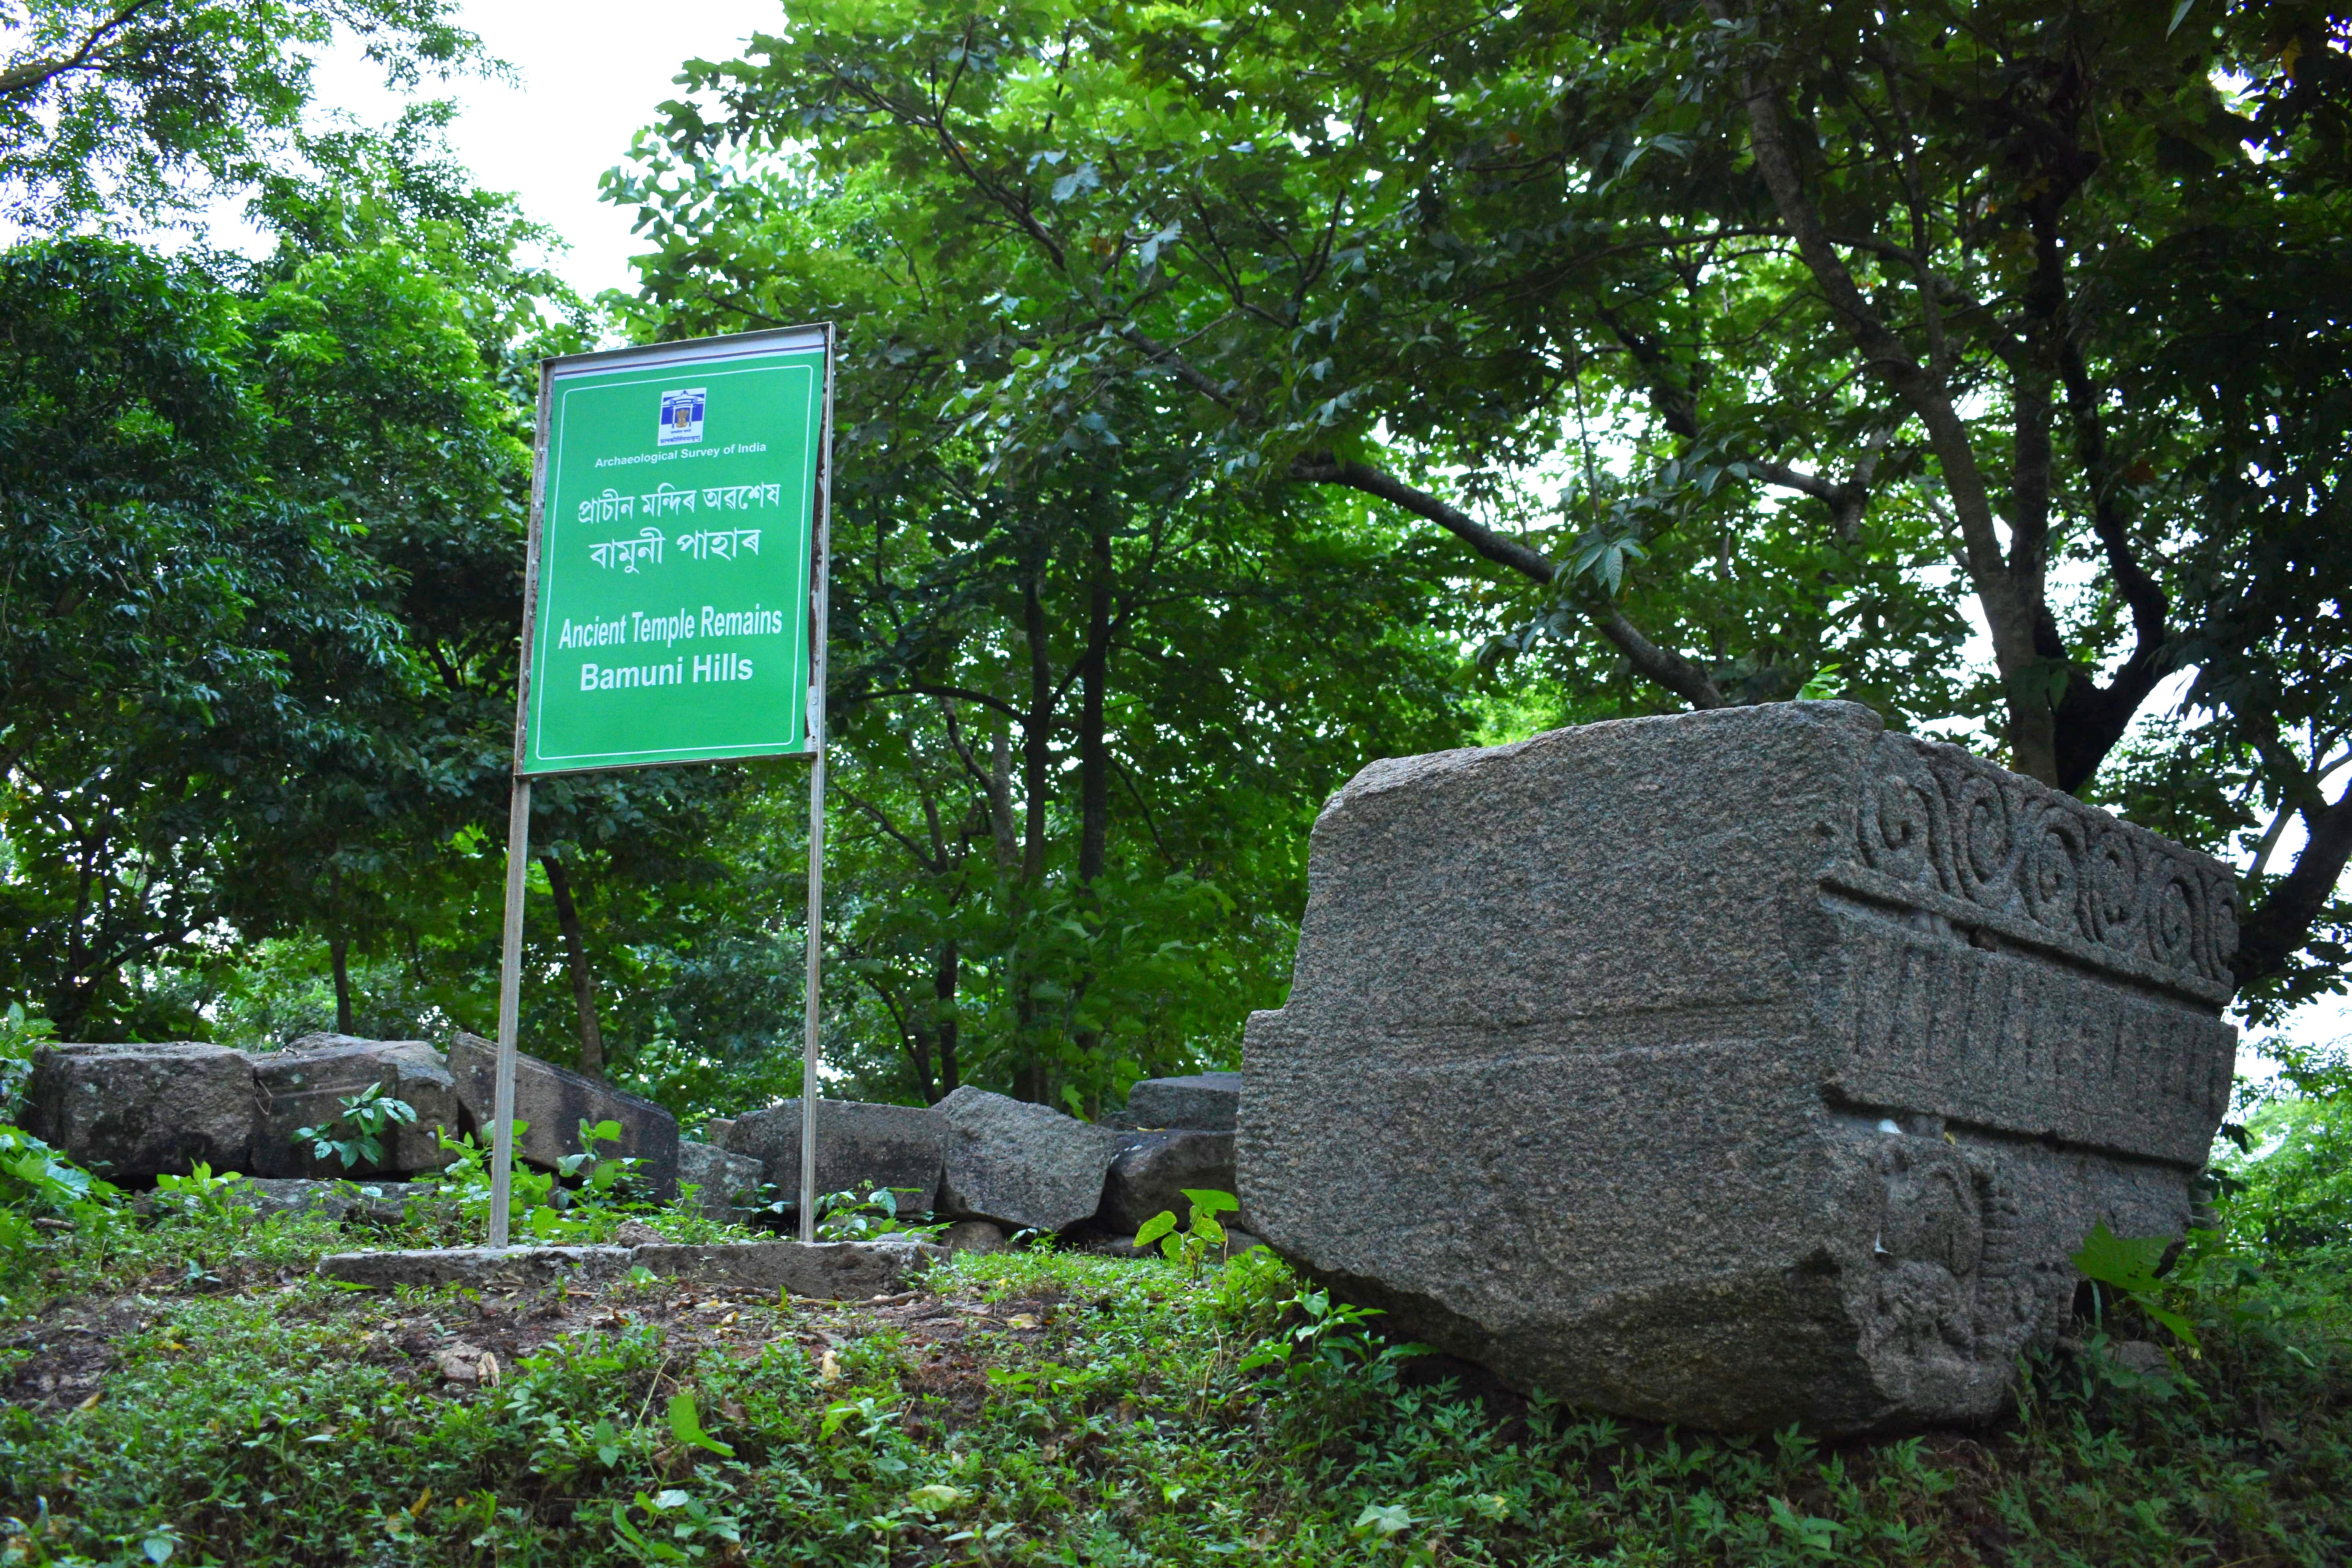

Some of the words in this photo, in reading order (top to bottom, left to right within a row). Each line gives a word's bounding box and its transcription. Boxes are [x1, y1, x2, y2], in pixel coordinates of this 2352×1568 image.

[594, 448, 682, 469] Archaeological
[659, 430, 704, 446] प्रत्नकीर्तिमपासृणु
[678, 443, 724, 460] Survey
[721, 441, 738, 456] of
[736, 439, 770, 456] India
[577, 483, 639, 527] প্রাচীন
[638, 478, 701, 519] মন্দিৰ
[697, 475, 786, 514] অৱশেষ
[580, 524, 668, 575] বামুনী
[672, 522, 764, 564] পাহাৰ
[550, 607, 628, 654] Ancient
[630, 603, 697, 648] Temple
[695, 599, 787, 640] Remains
[578, 652, 687, 691] Bamuni
[687, 648, 756, 686] Hills